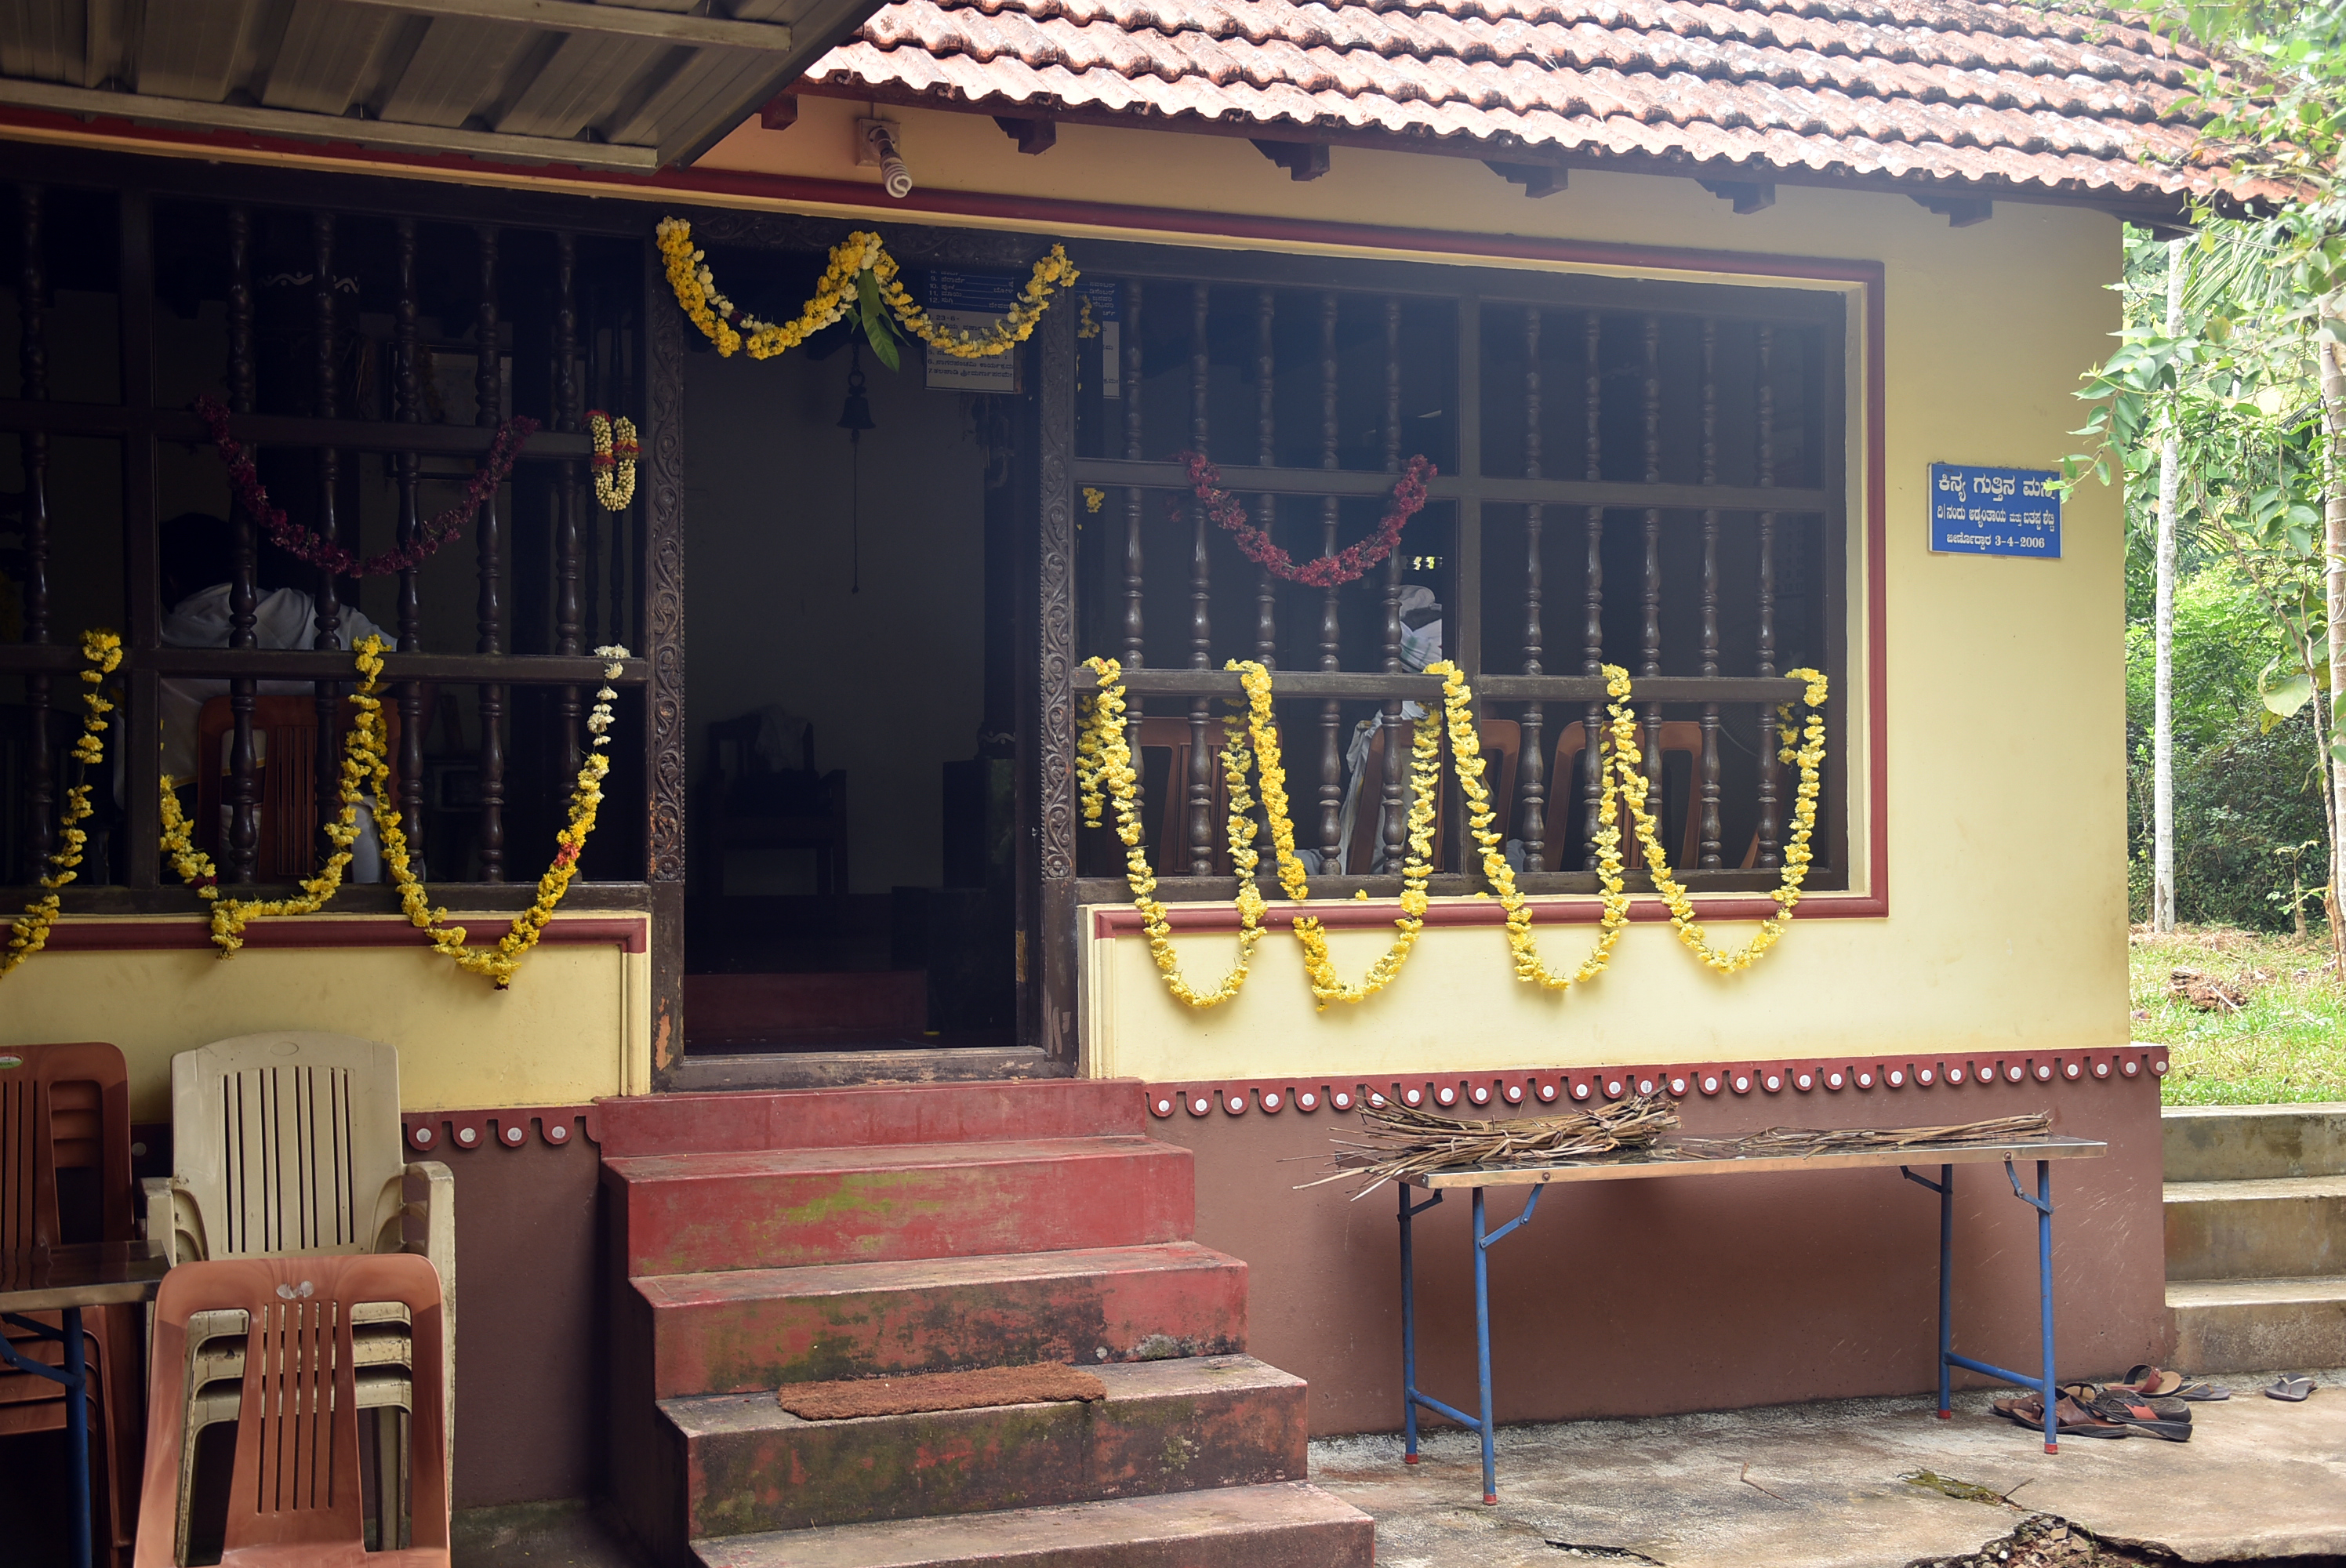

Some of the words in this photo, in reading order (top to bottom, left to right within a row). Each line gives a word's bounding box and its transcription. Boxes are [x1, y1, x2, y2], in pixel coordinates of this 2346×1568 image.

[938, 285, 964, 299] ಮಾಯ
[1085, 284, 1117, 300] ಡಿಸೆಂಬರ್
[930, 366, 961, 378] suma
[973, 358, 1017, 372] ಕಾರ್ಯಕ್ರಮ
[1936, 468, 1970, 506] ಕಿನ್ಯ
[1969, 468, 2017, 506] ಗುತ್ತನ
[2017, 472, 2060, 500] ಮ
[1933, 500, 1970, 524] ವಿ1ನಂದು
[1966, 504, 2008, 531] ಅಡ್ಯಂತಾಯ
[2002, 510, 2025, 528] ಮತ್ತು
[2021, 504, 2046, 533] ಐತಪ್ಪ
[2036, 504, 2058, 535] ಶೆಟ್ಟಿ
[1944, 528, 1996, 552] ಬೀಳರ್ದೊದ್ದಾರ
[1994, 531, 2047, 552] 3-4-2006